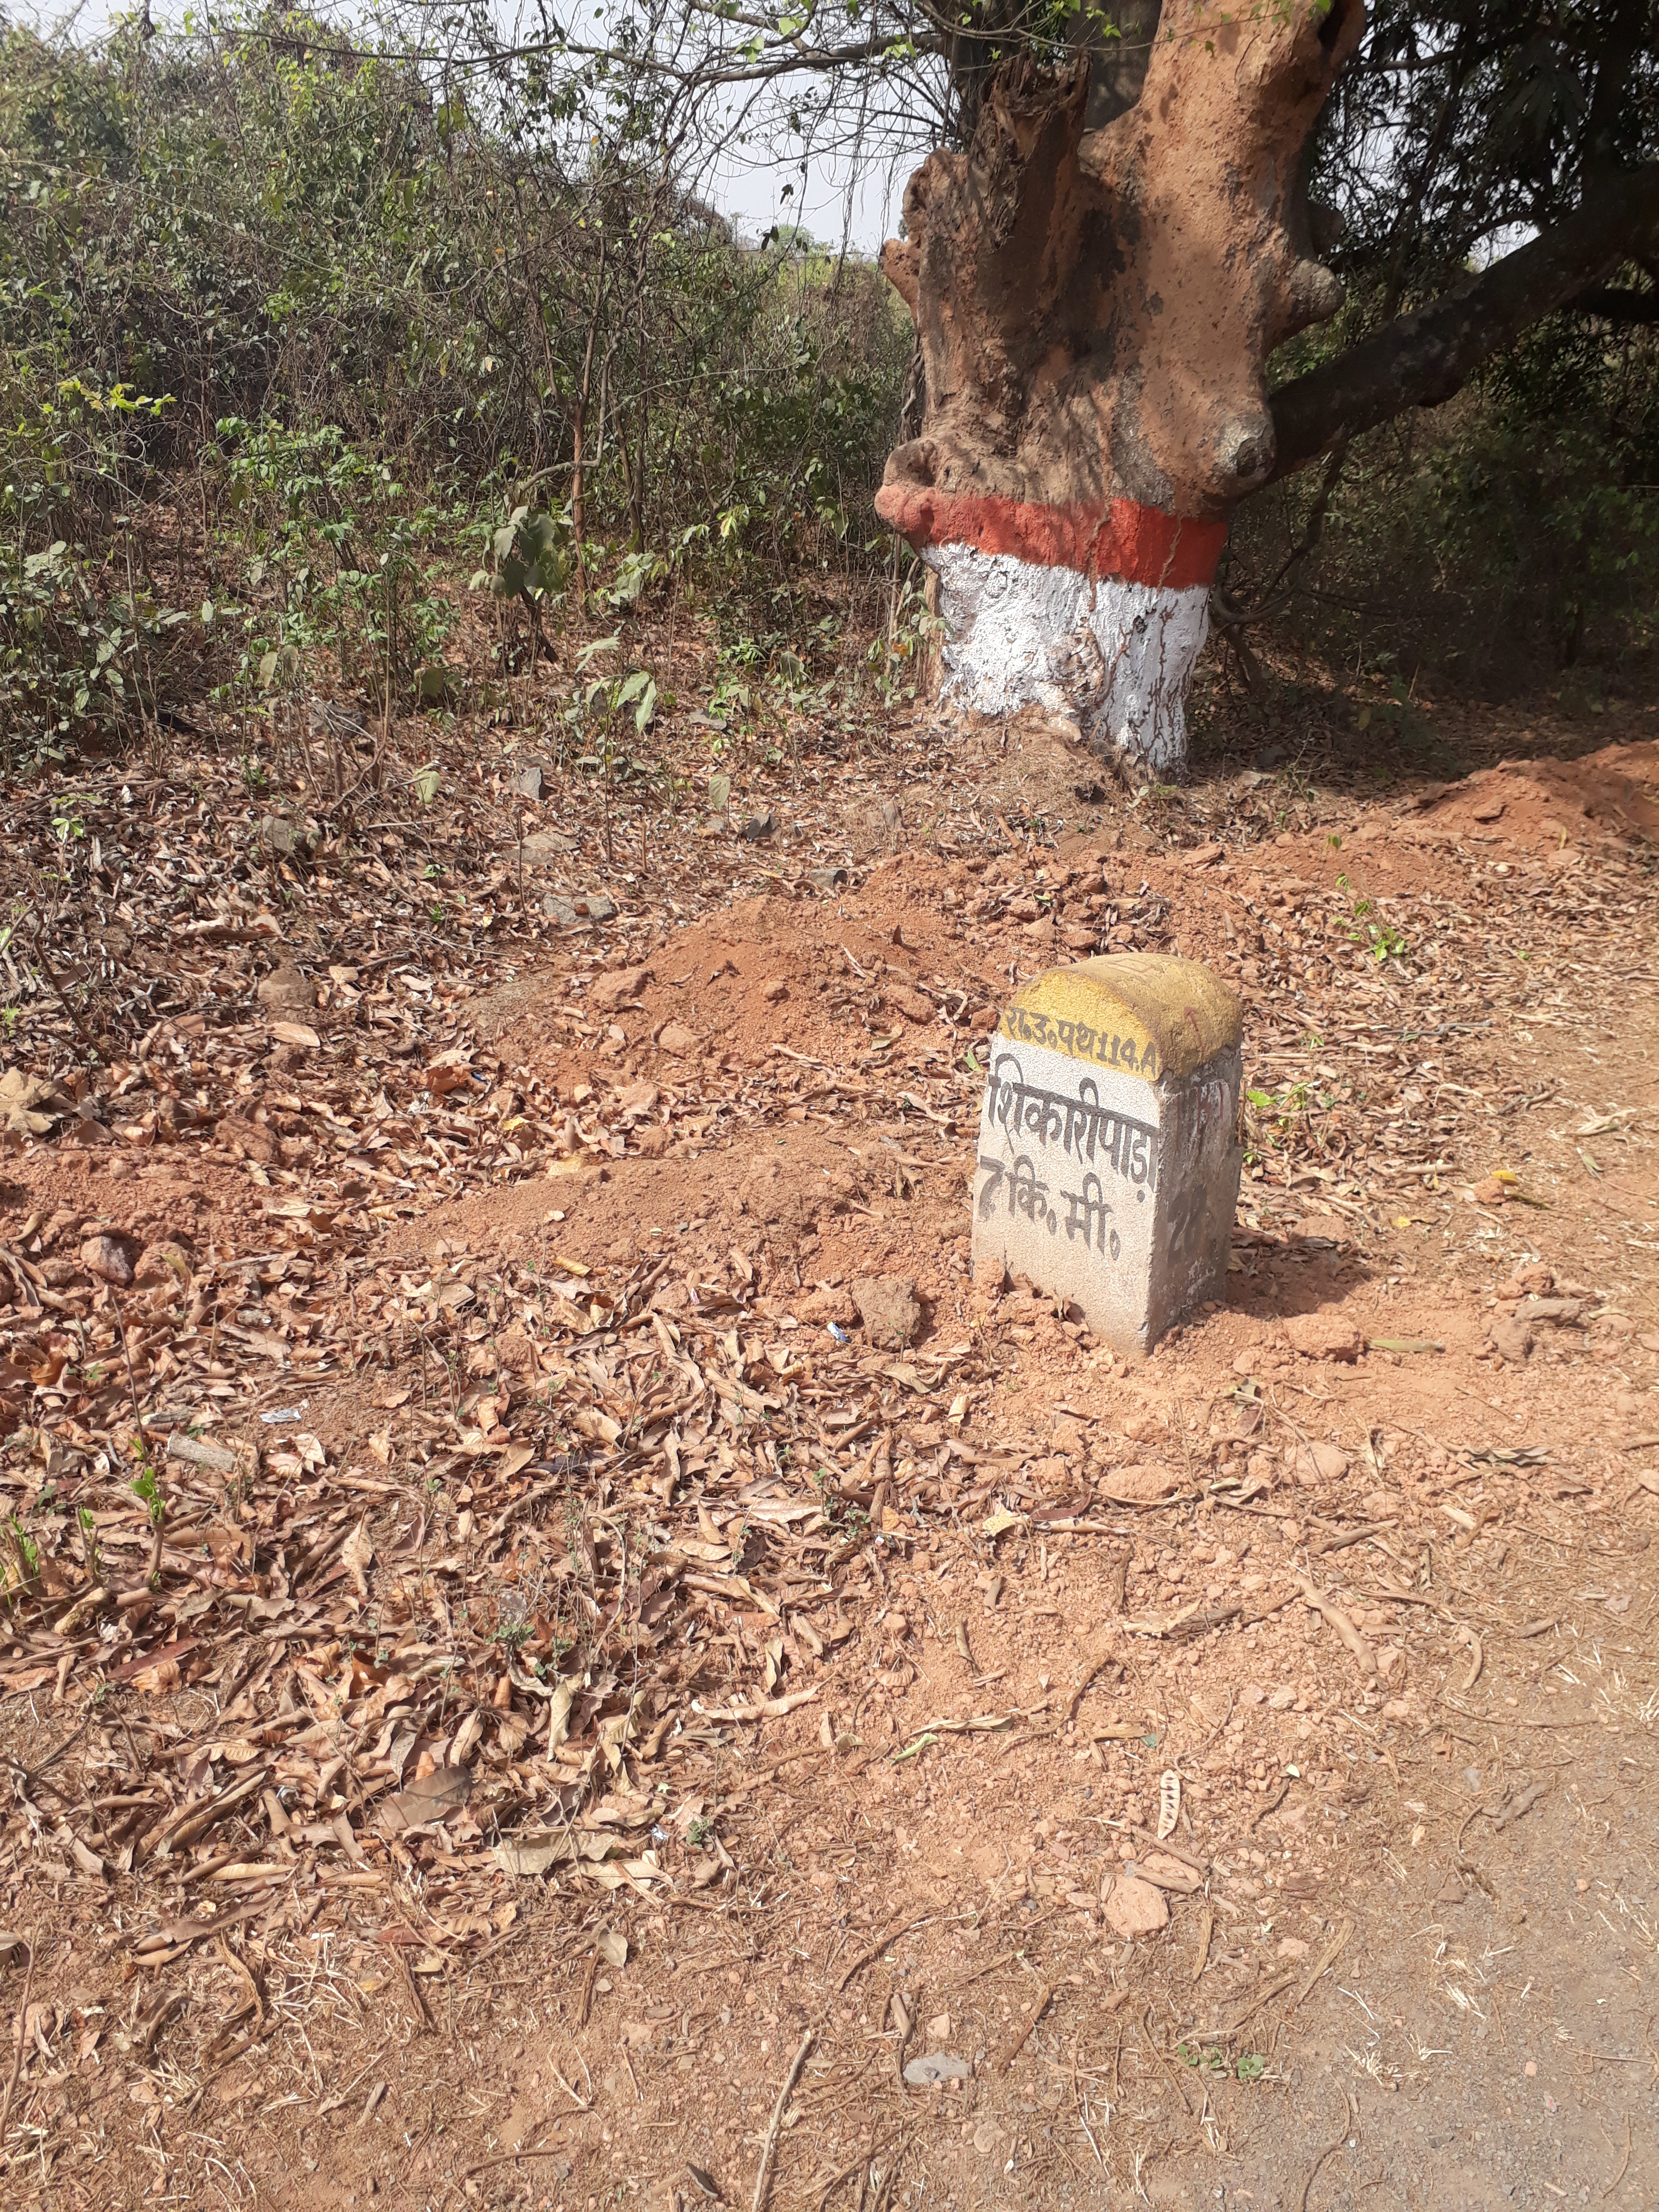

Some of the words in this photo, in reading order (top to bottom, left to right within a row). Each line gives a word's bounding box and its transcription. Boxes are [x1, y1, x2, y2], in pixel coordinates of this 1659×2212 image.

[1003, 1004, 1159, 1078] रा.उ.पथ 114.A
[984, 1050, 1162, 1191] शिकारीपाडा
[975, 1153, 1122, 1262] 7कि.मी.